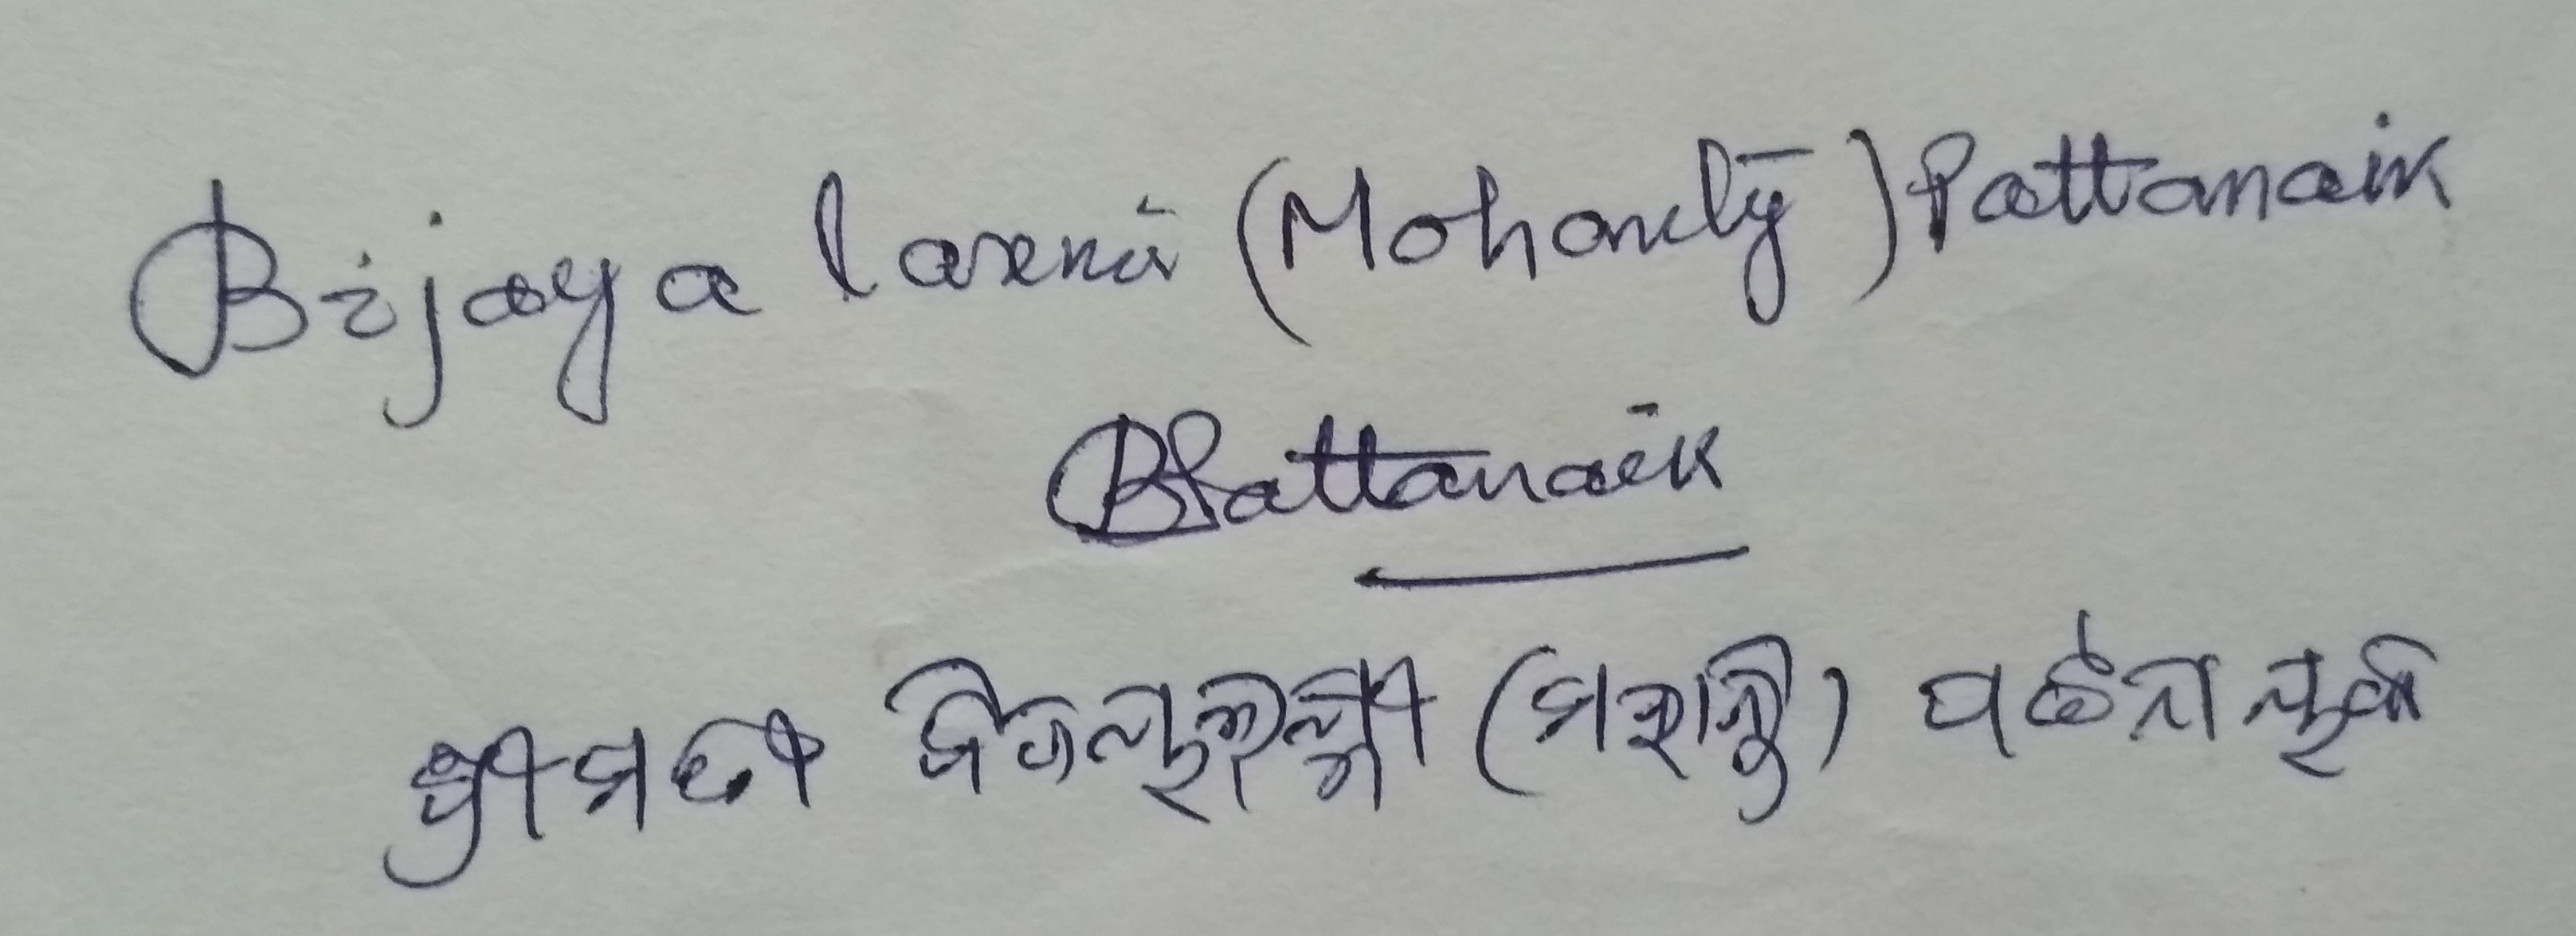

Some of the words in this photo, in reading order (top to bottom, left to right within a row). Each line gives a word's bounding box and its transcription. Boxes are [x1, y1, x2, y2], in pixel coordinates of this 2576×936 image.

[116, 172, 769, 441] Bijaya
[794, 148, 1190, 319] laxmi
[1272, 123, 1793, 336] Mohondy
[1901, 94, 2457, 263] Pattanaik
[1038, 392, 1723, 562] Blattanaik